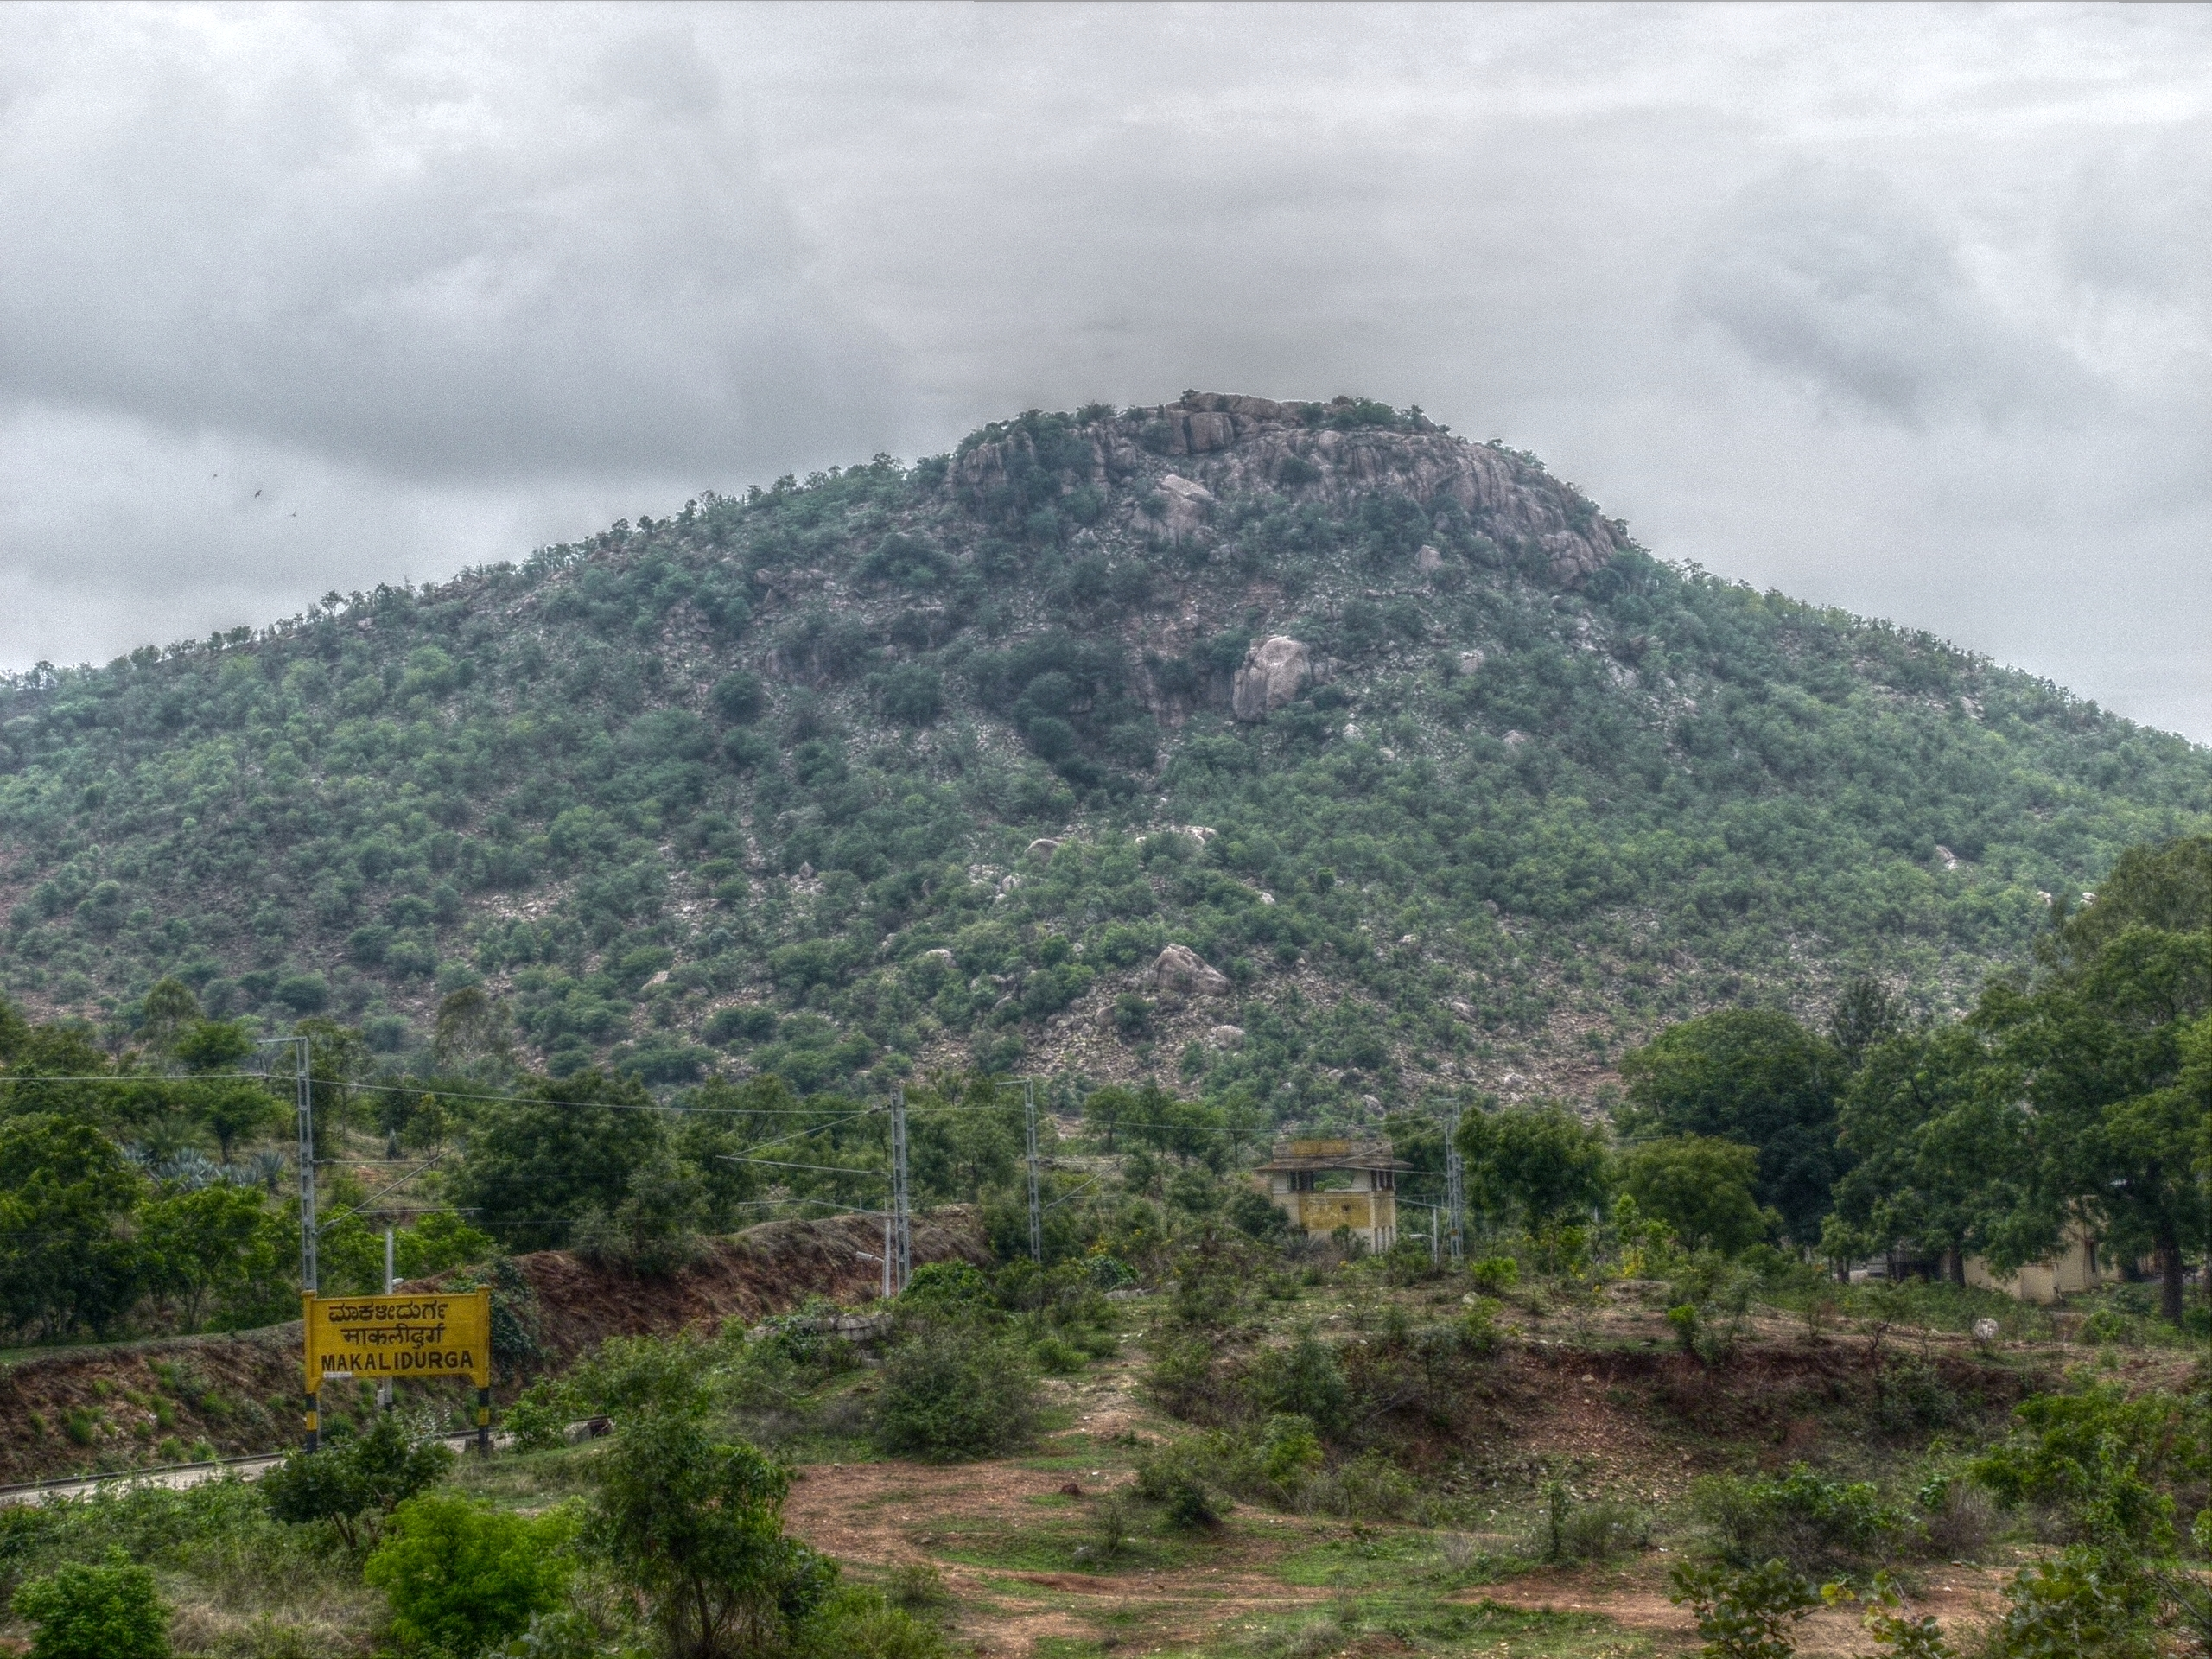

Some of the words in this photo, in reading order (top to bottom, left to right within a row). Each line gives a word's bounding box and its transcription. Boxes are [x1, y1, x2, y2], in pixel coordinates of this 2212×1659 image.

[323, 1294, 448, 1328] ಮಾಕಅದುರ್ಗ
[337, 1315, 448, 1351] माकलीदुर्ग
[316, 1348, 477, 1373] MAKALIDURGA